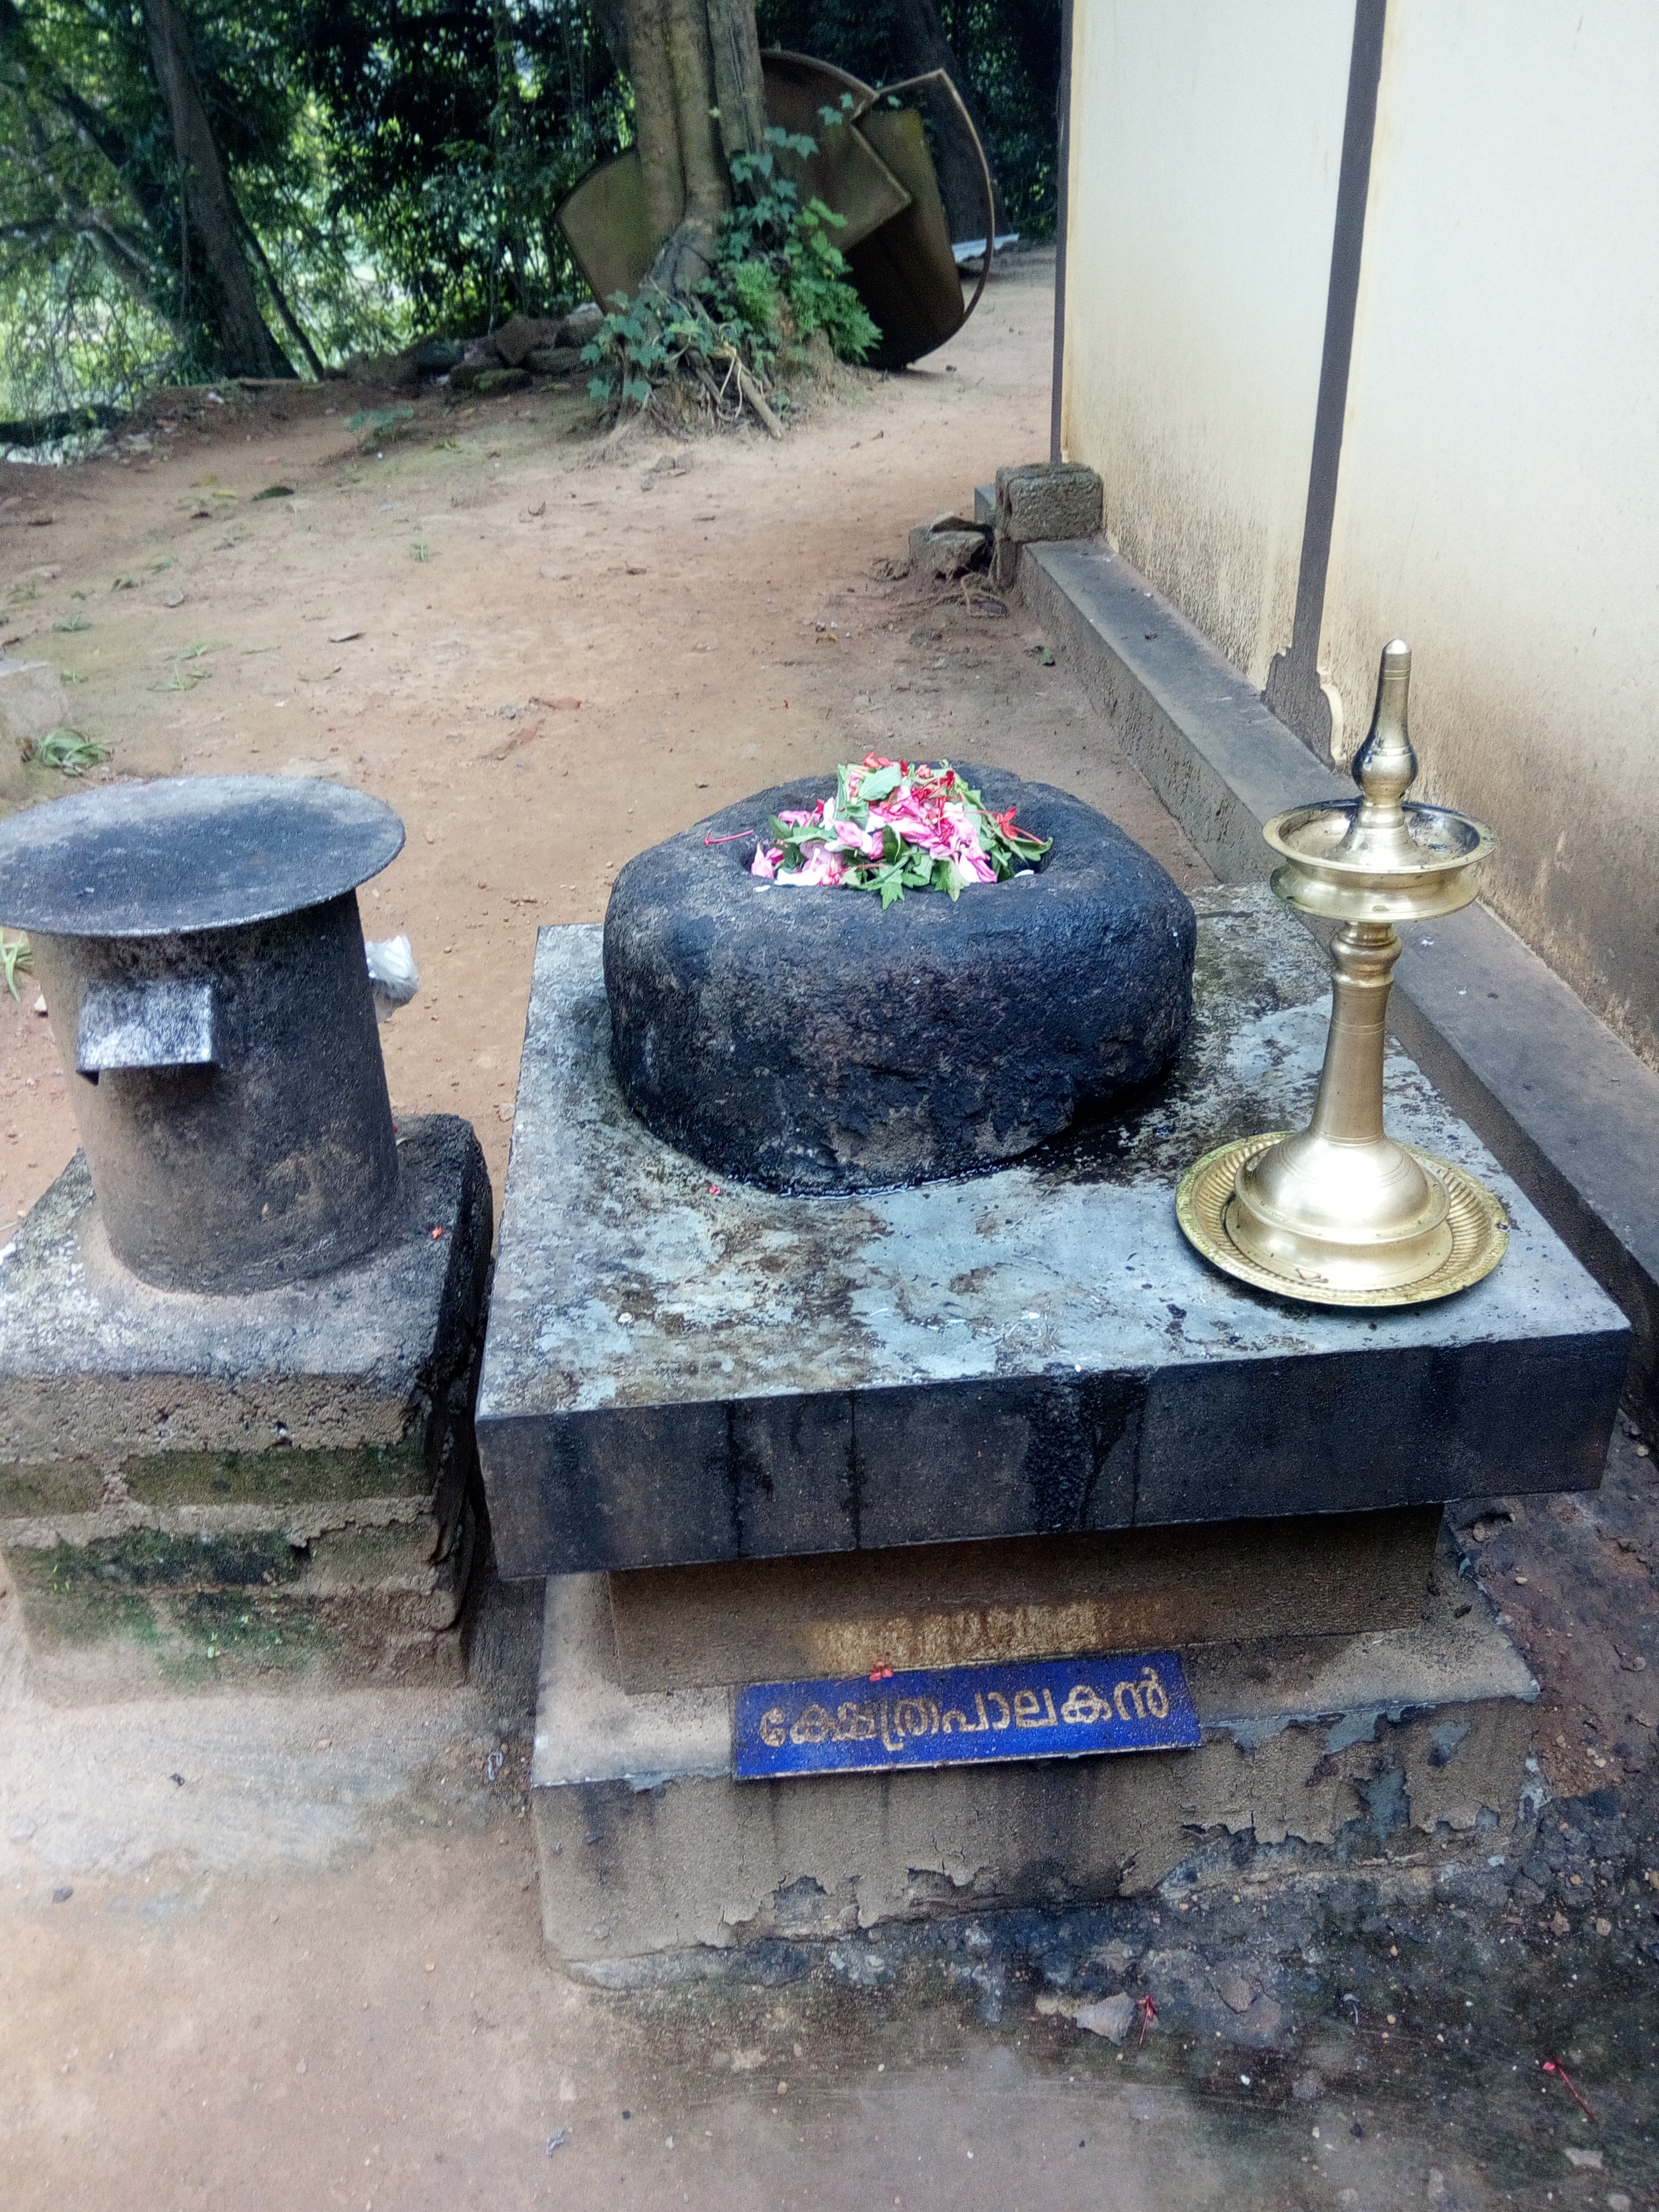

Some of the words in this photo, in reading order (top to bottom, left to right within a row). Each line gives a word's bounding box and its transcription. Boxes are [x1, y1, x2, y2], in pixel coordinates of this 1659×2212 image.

[752, 1659, 1174, 1754] ക്ഷേത്രപാലകൻ